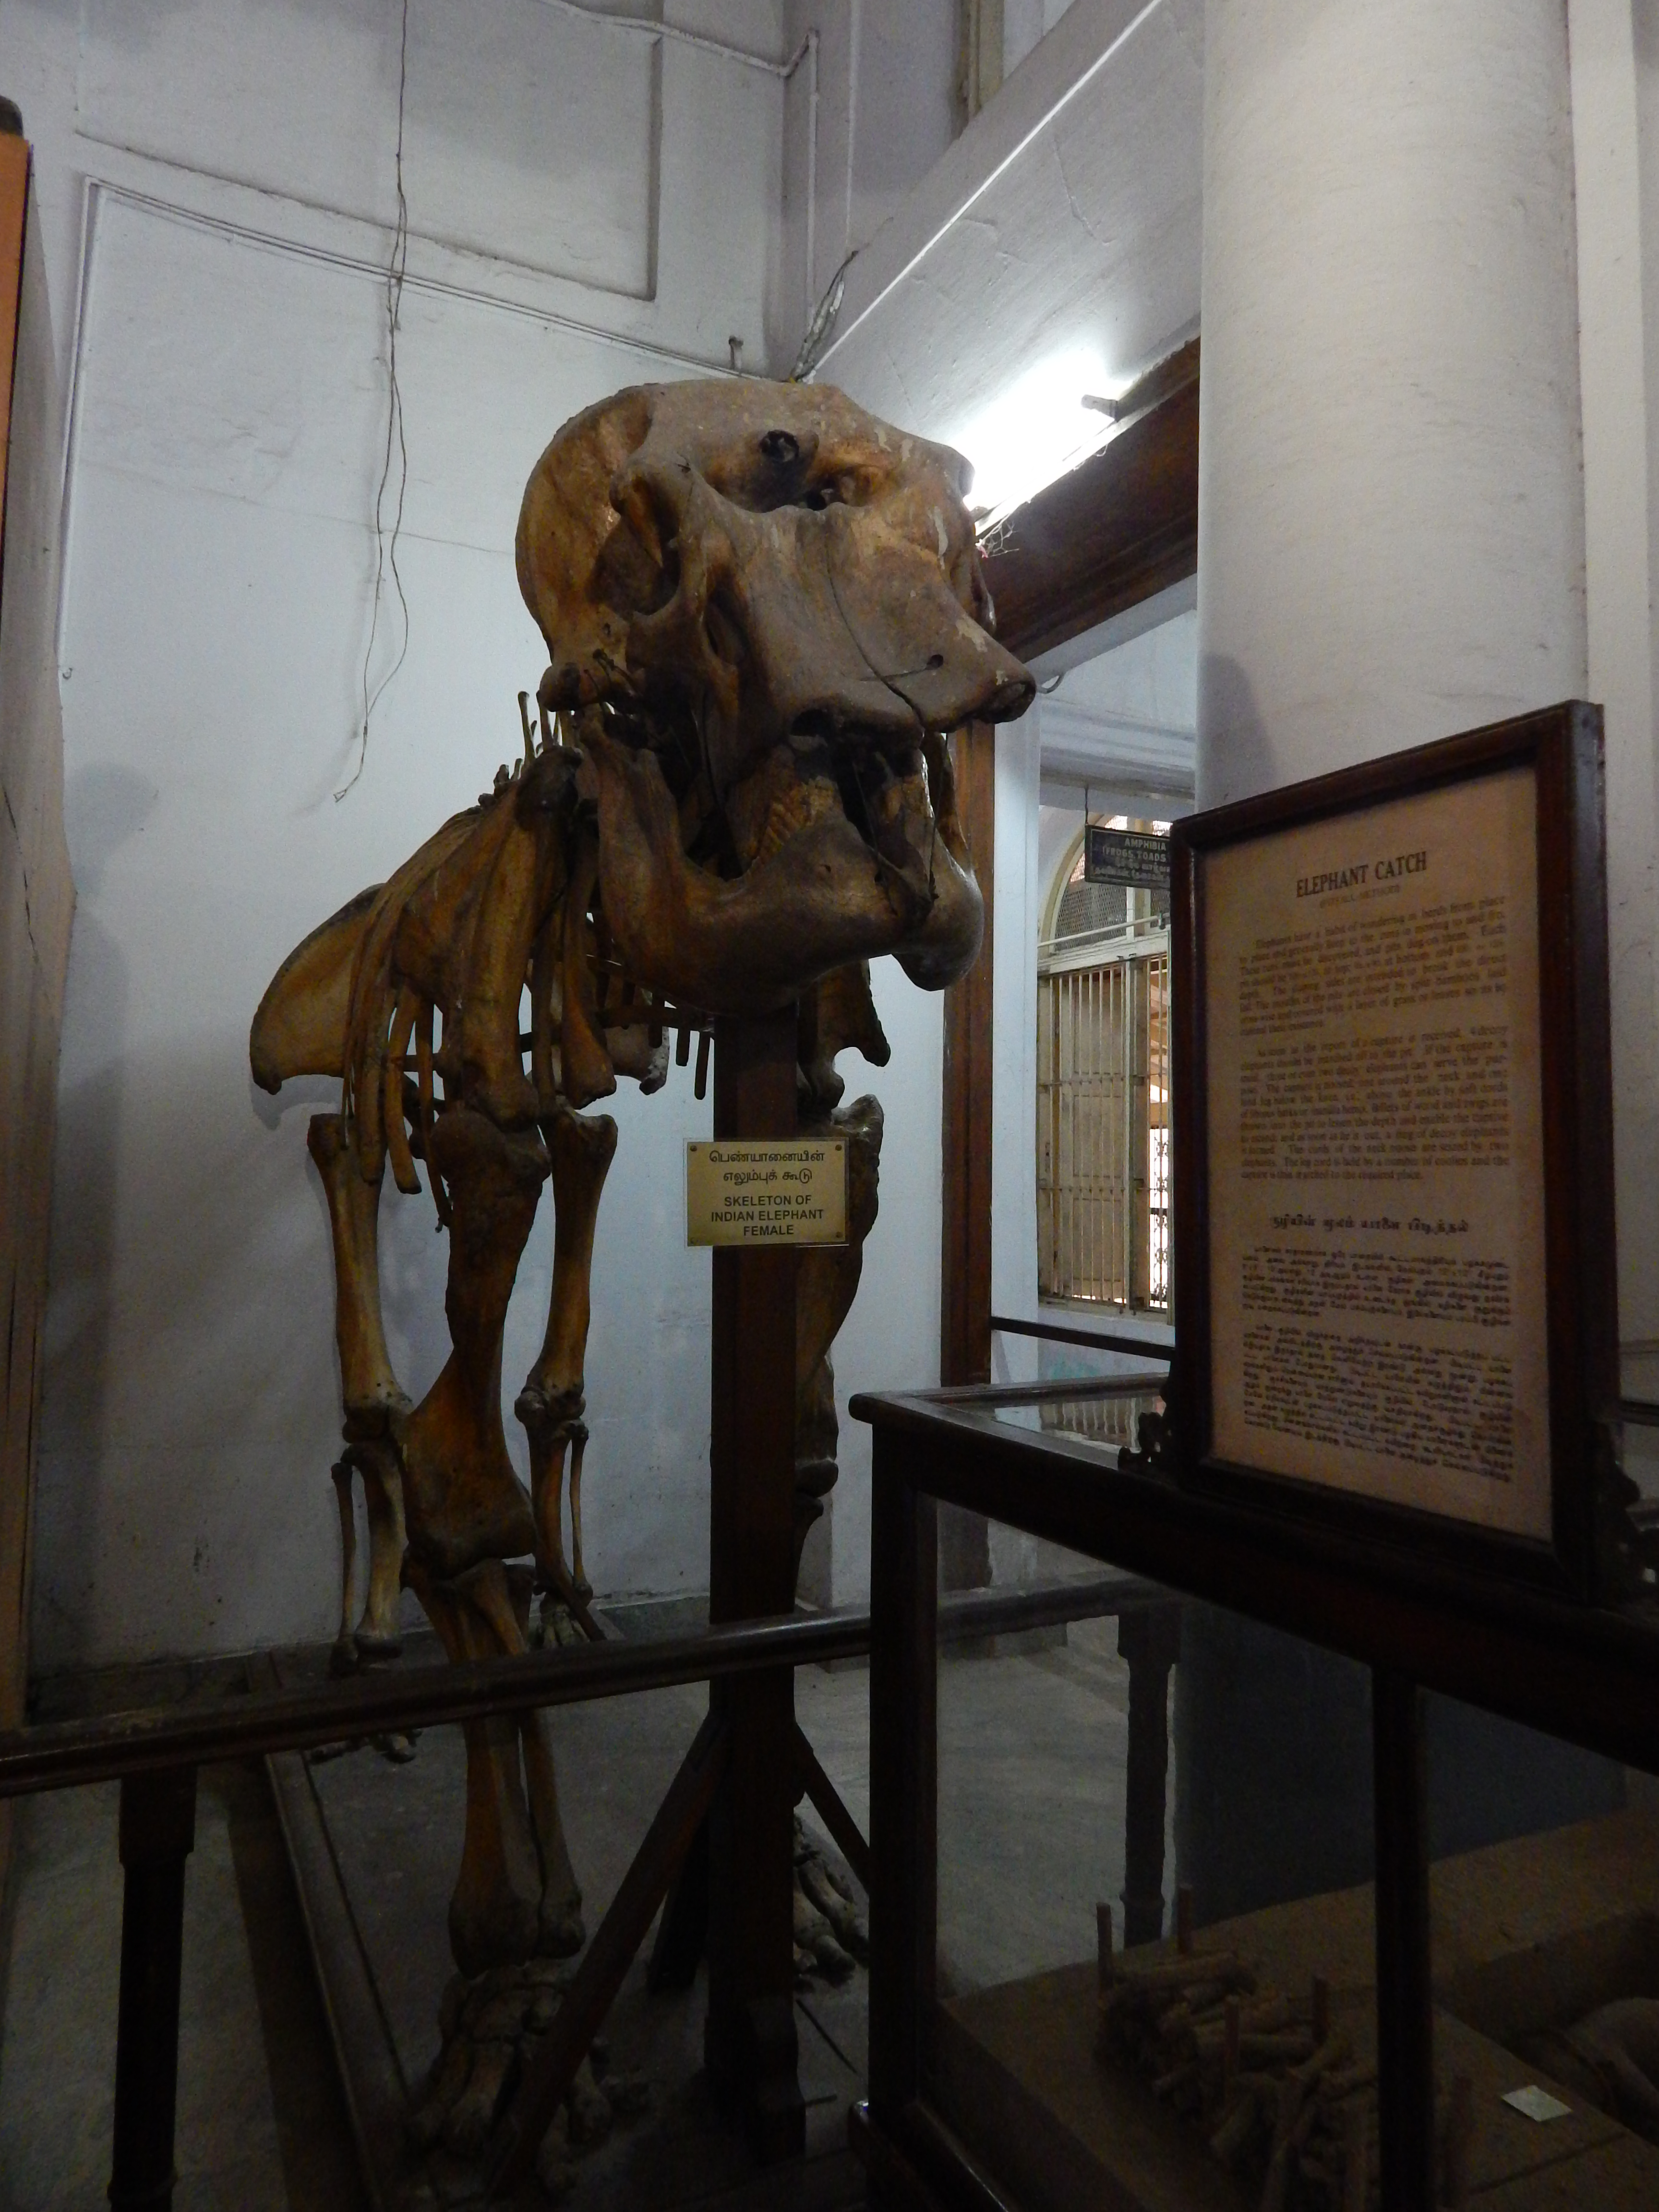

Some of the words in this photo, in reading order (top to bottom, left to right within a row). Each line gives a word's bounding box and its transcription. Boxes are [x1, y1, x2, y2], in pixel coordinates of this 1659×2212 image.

[1101, 844, 1135, 859] (FROGS.
[1122, 834, 1167, 853] AMPHIBIA
[1135, 848, 1168, 865] TOADS
[1373, 849, 1427, 883] CATCH
[1294, 863, 1370, 899] ELEPHANT
[707, 1147, 826, 1166] பெண்யானையின்
[721, 1167, 779, 1186] எலும்புக்
[780, 1166, 814, 1184] ௯டு
[720, 1192, 793, 1208] SKELETON
[794, 1192, 813, 1208] OF
[708, 1208, 756, 1224] INDIAN
[756, 1206, 825, 1223] ELEPHANT
[741, 1223, 796, 1238] FEMALE
[1405, 1216, 1469, 1235] பிடித்தல்